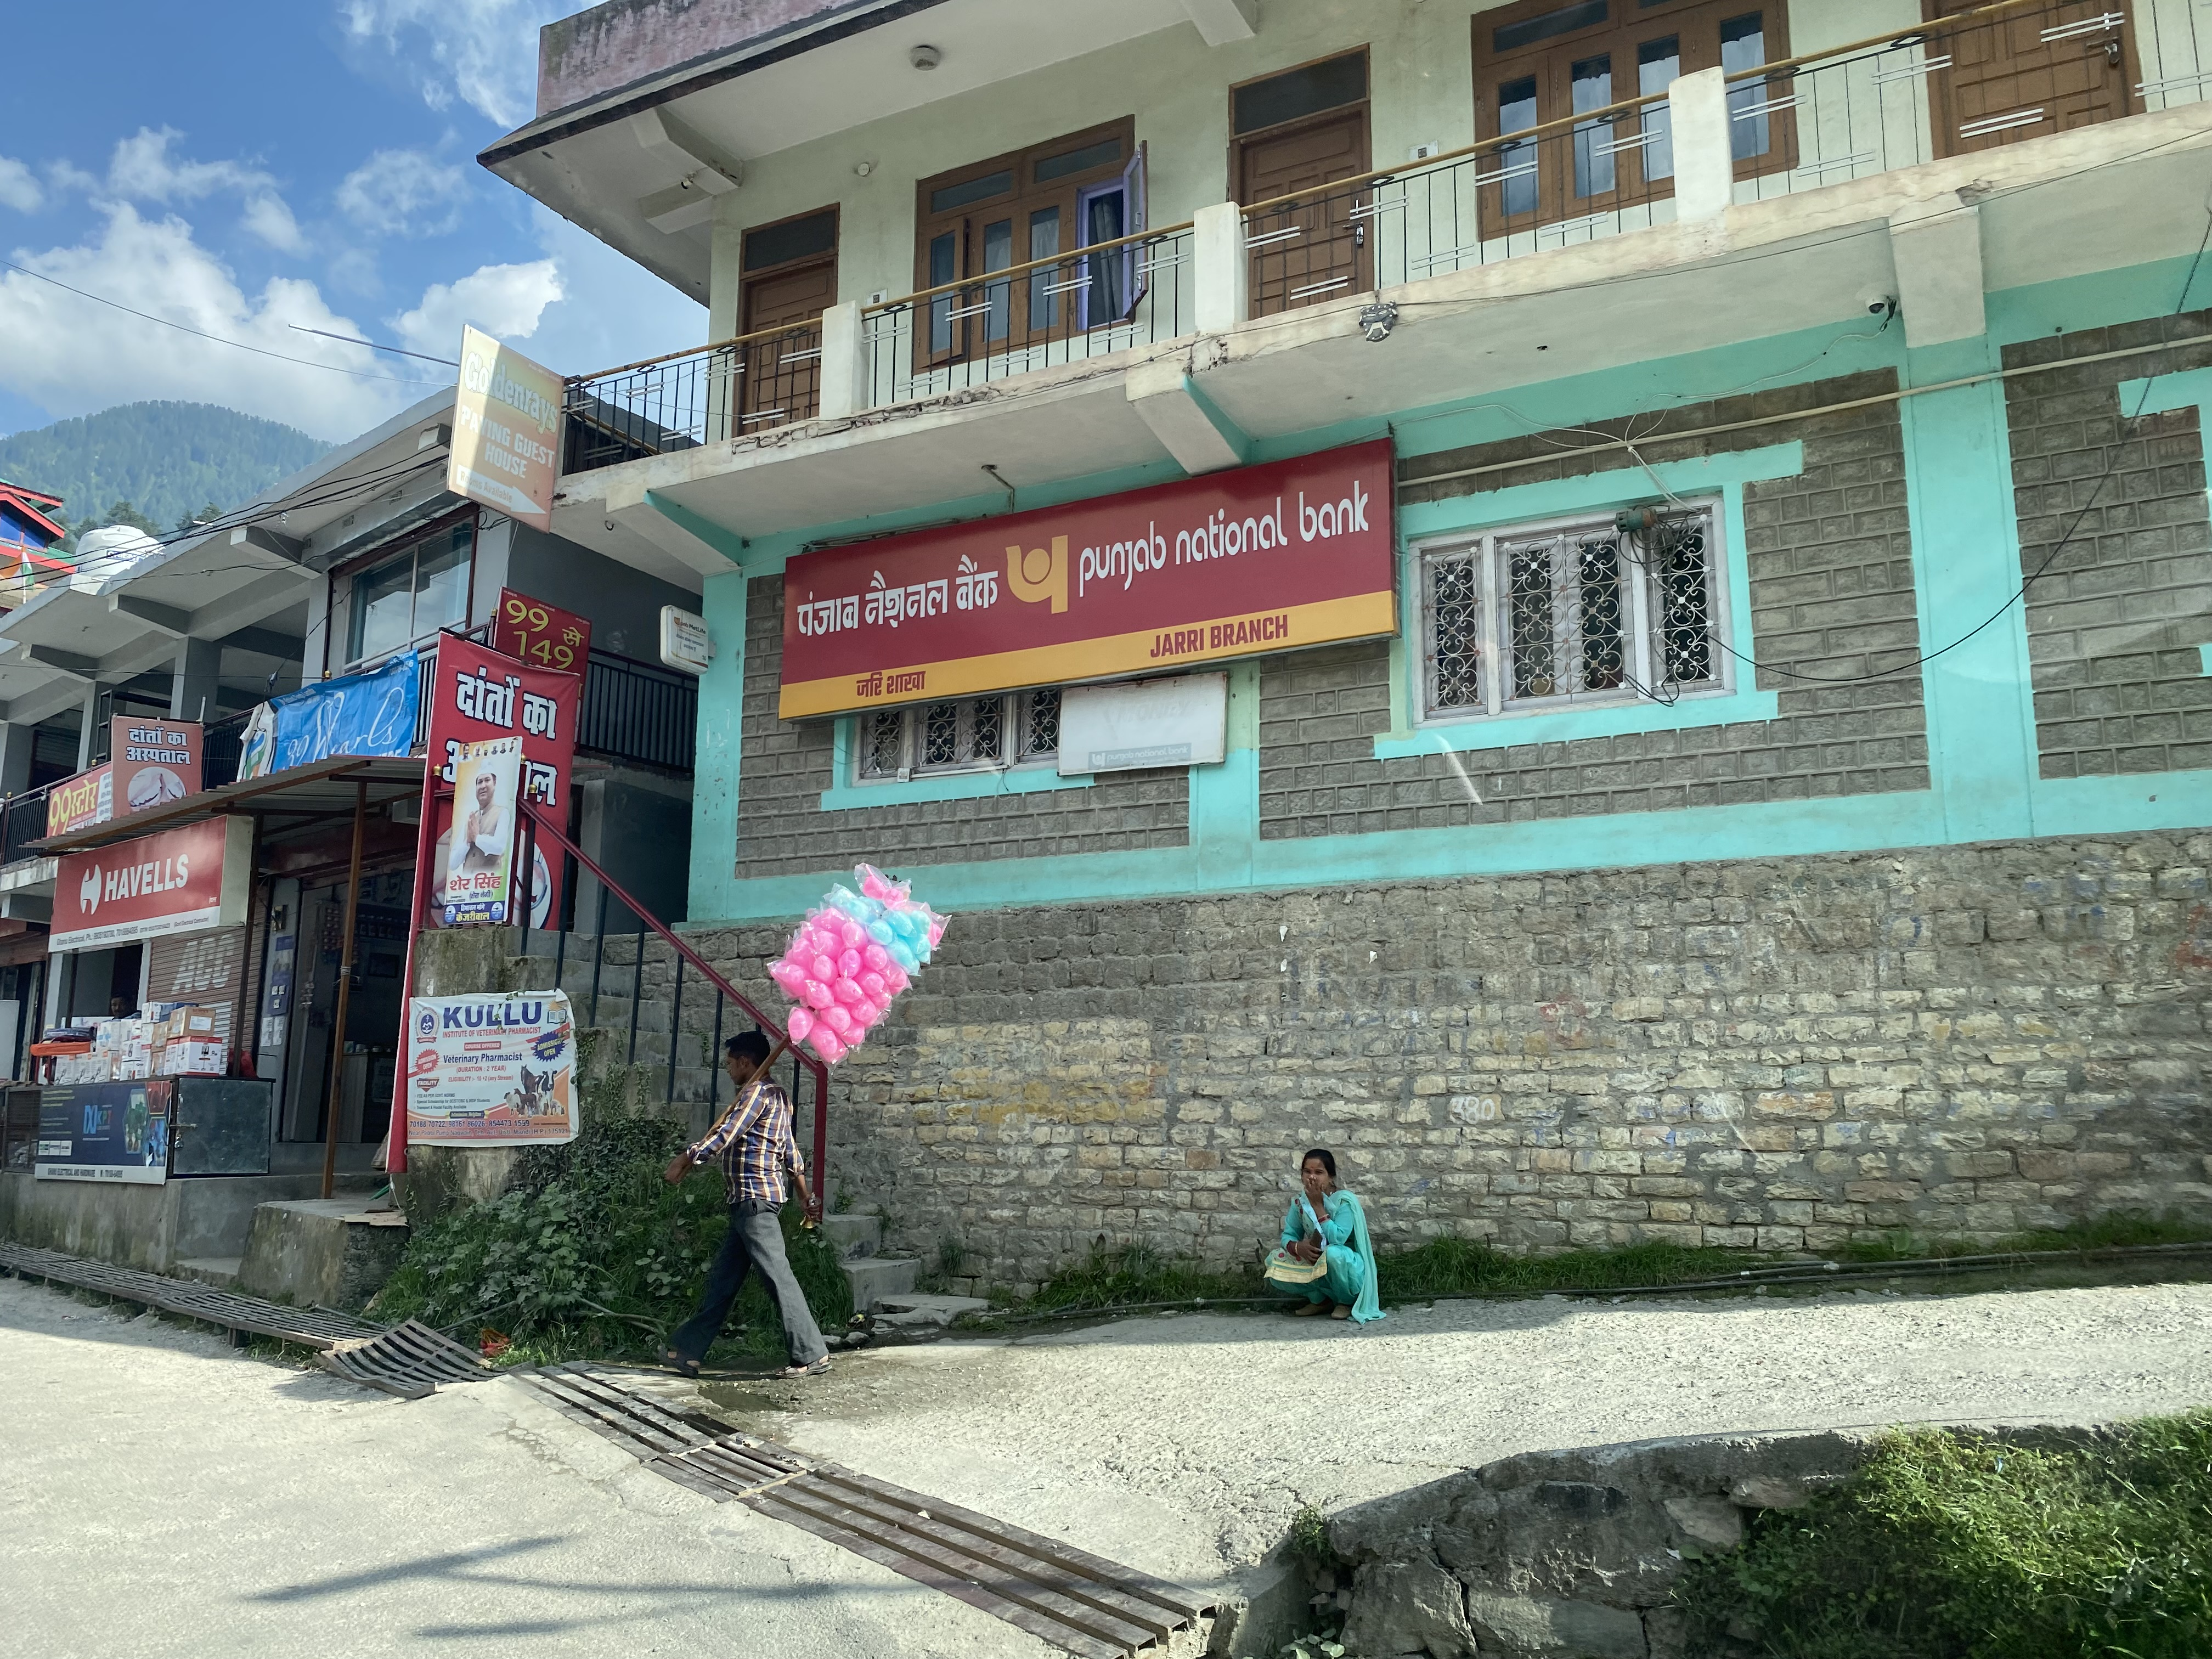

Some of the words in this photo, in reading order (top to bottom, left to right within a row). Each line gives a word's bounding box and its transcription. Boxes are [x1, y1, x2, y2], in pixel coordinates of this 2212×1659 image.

[461, 351, 564, 437] Goldenrays
[458, 403, 513, 449] PAVING
[456, 467, 485, 492] Rooms
[481, 477, 515, 505] Available
[482, 440, 528, 482] HOUSE
[510, 430, 556, 472] GUEST
[1173, 495, 1291, 568] national
[1294, 477, 1372, 545] bank
[1078, 518, 1168, 600] punjab
[502, 595, 555, 639] 99
[510, 627, 578, 673] 149
[559, 624, 585, 650] से
[793, 585, 861, 639] पंजाब
[860, 569, 952, 633] नैशनल
[951, 551, 1002, 618] बैंक
[1148, 625, 1206, 660] JARRI
[1209, 612, 1290, 651] BRANCH
[126, 719, 166, 747] दांतों
[123, 744, 195, 766] अस्पताल
[165, 730, 190, 748] का
[450, 663, 524, 731] दांतों
[515, 691, 560, 741] का
[854, 666, 884, 701] जरि
[884, 669, 929, 698] शाखा
[67, 778, 100, 820] स्टोर
[101, 851, 193, 904] HAVELLS
[445, 871, 472, 895] शेर
[456, 899, 487, 913] हिमाचल मांगे
[452, 907, 494, 923] केजरीवाल
[475, 887, 494, 899] नेगी)
[469, 868, 504, 889] सिंह
[433, 994, 544, 1035] KULLU